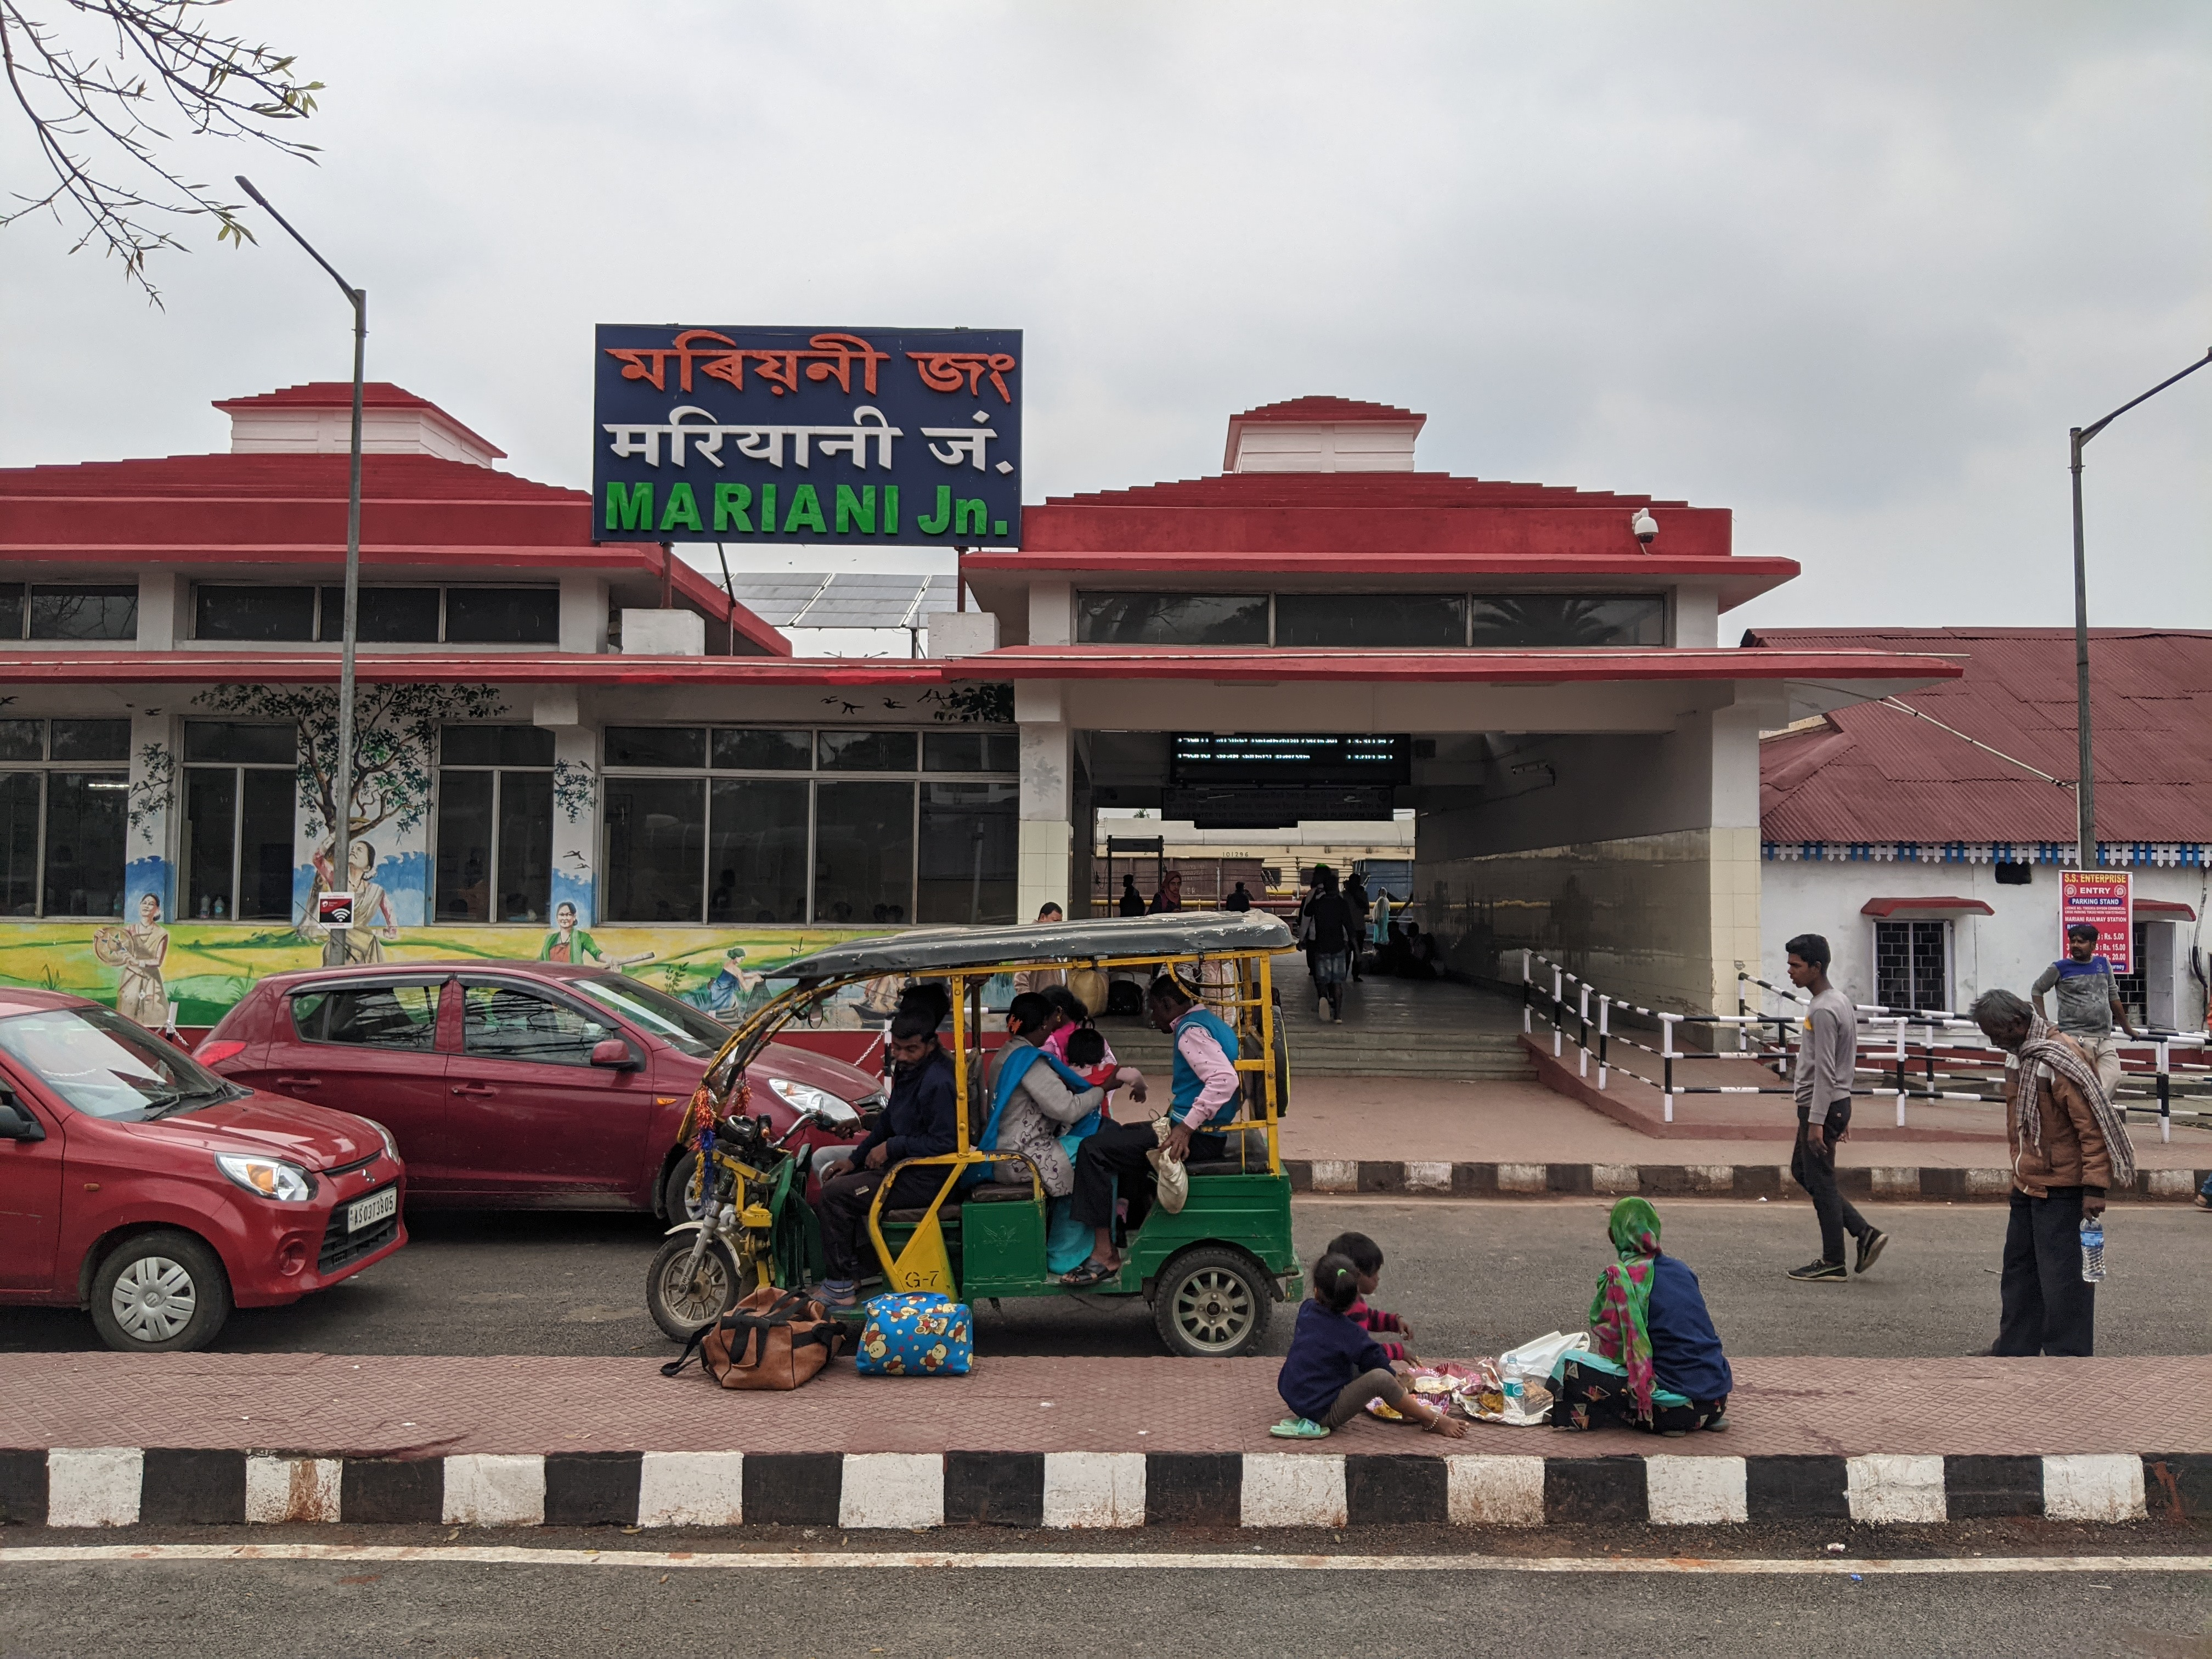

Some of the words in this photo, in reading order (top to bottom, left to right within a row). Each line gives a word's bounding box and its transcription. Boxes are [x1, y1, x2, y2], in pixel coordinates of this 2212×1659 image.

[607, 319, 895, 403] মৰিয়নী
[905, 342, 1022, 407] জং
[600, 391, 908, 473] मरियानी
[915, 403, 1019, 475] जं.
[600, 477, 906, 537] MARIANI
[910, 478, 1019, 548] Jn.
[2061, 867, 2081, 885] S.S.
[2078, 871, 2130, 886] ENTERPRISE
[2078, 883, 2113, 897] ENTRY
[2070, 895, 2102, 907] PARKING
[2097, 895, 2122, 907] STAND
[2061, 912, 2088, 926] MARIANI
[2084, 912, 2108, 926] RAILWAY
[2104, 913, 2129, 927] STATION
[2101, 928, 2128, 943] Rs.5.00
[2098, 939, 2127, 954] Rs.15.00
[350, 1187, 400, 1232] AS03T3805